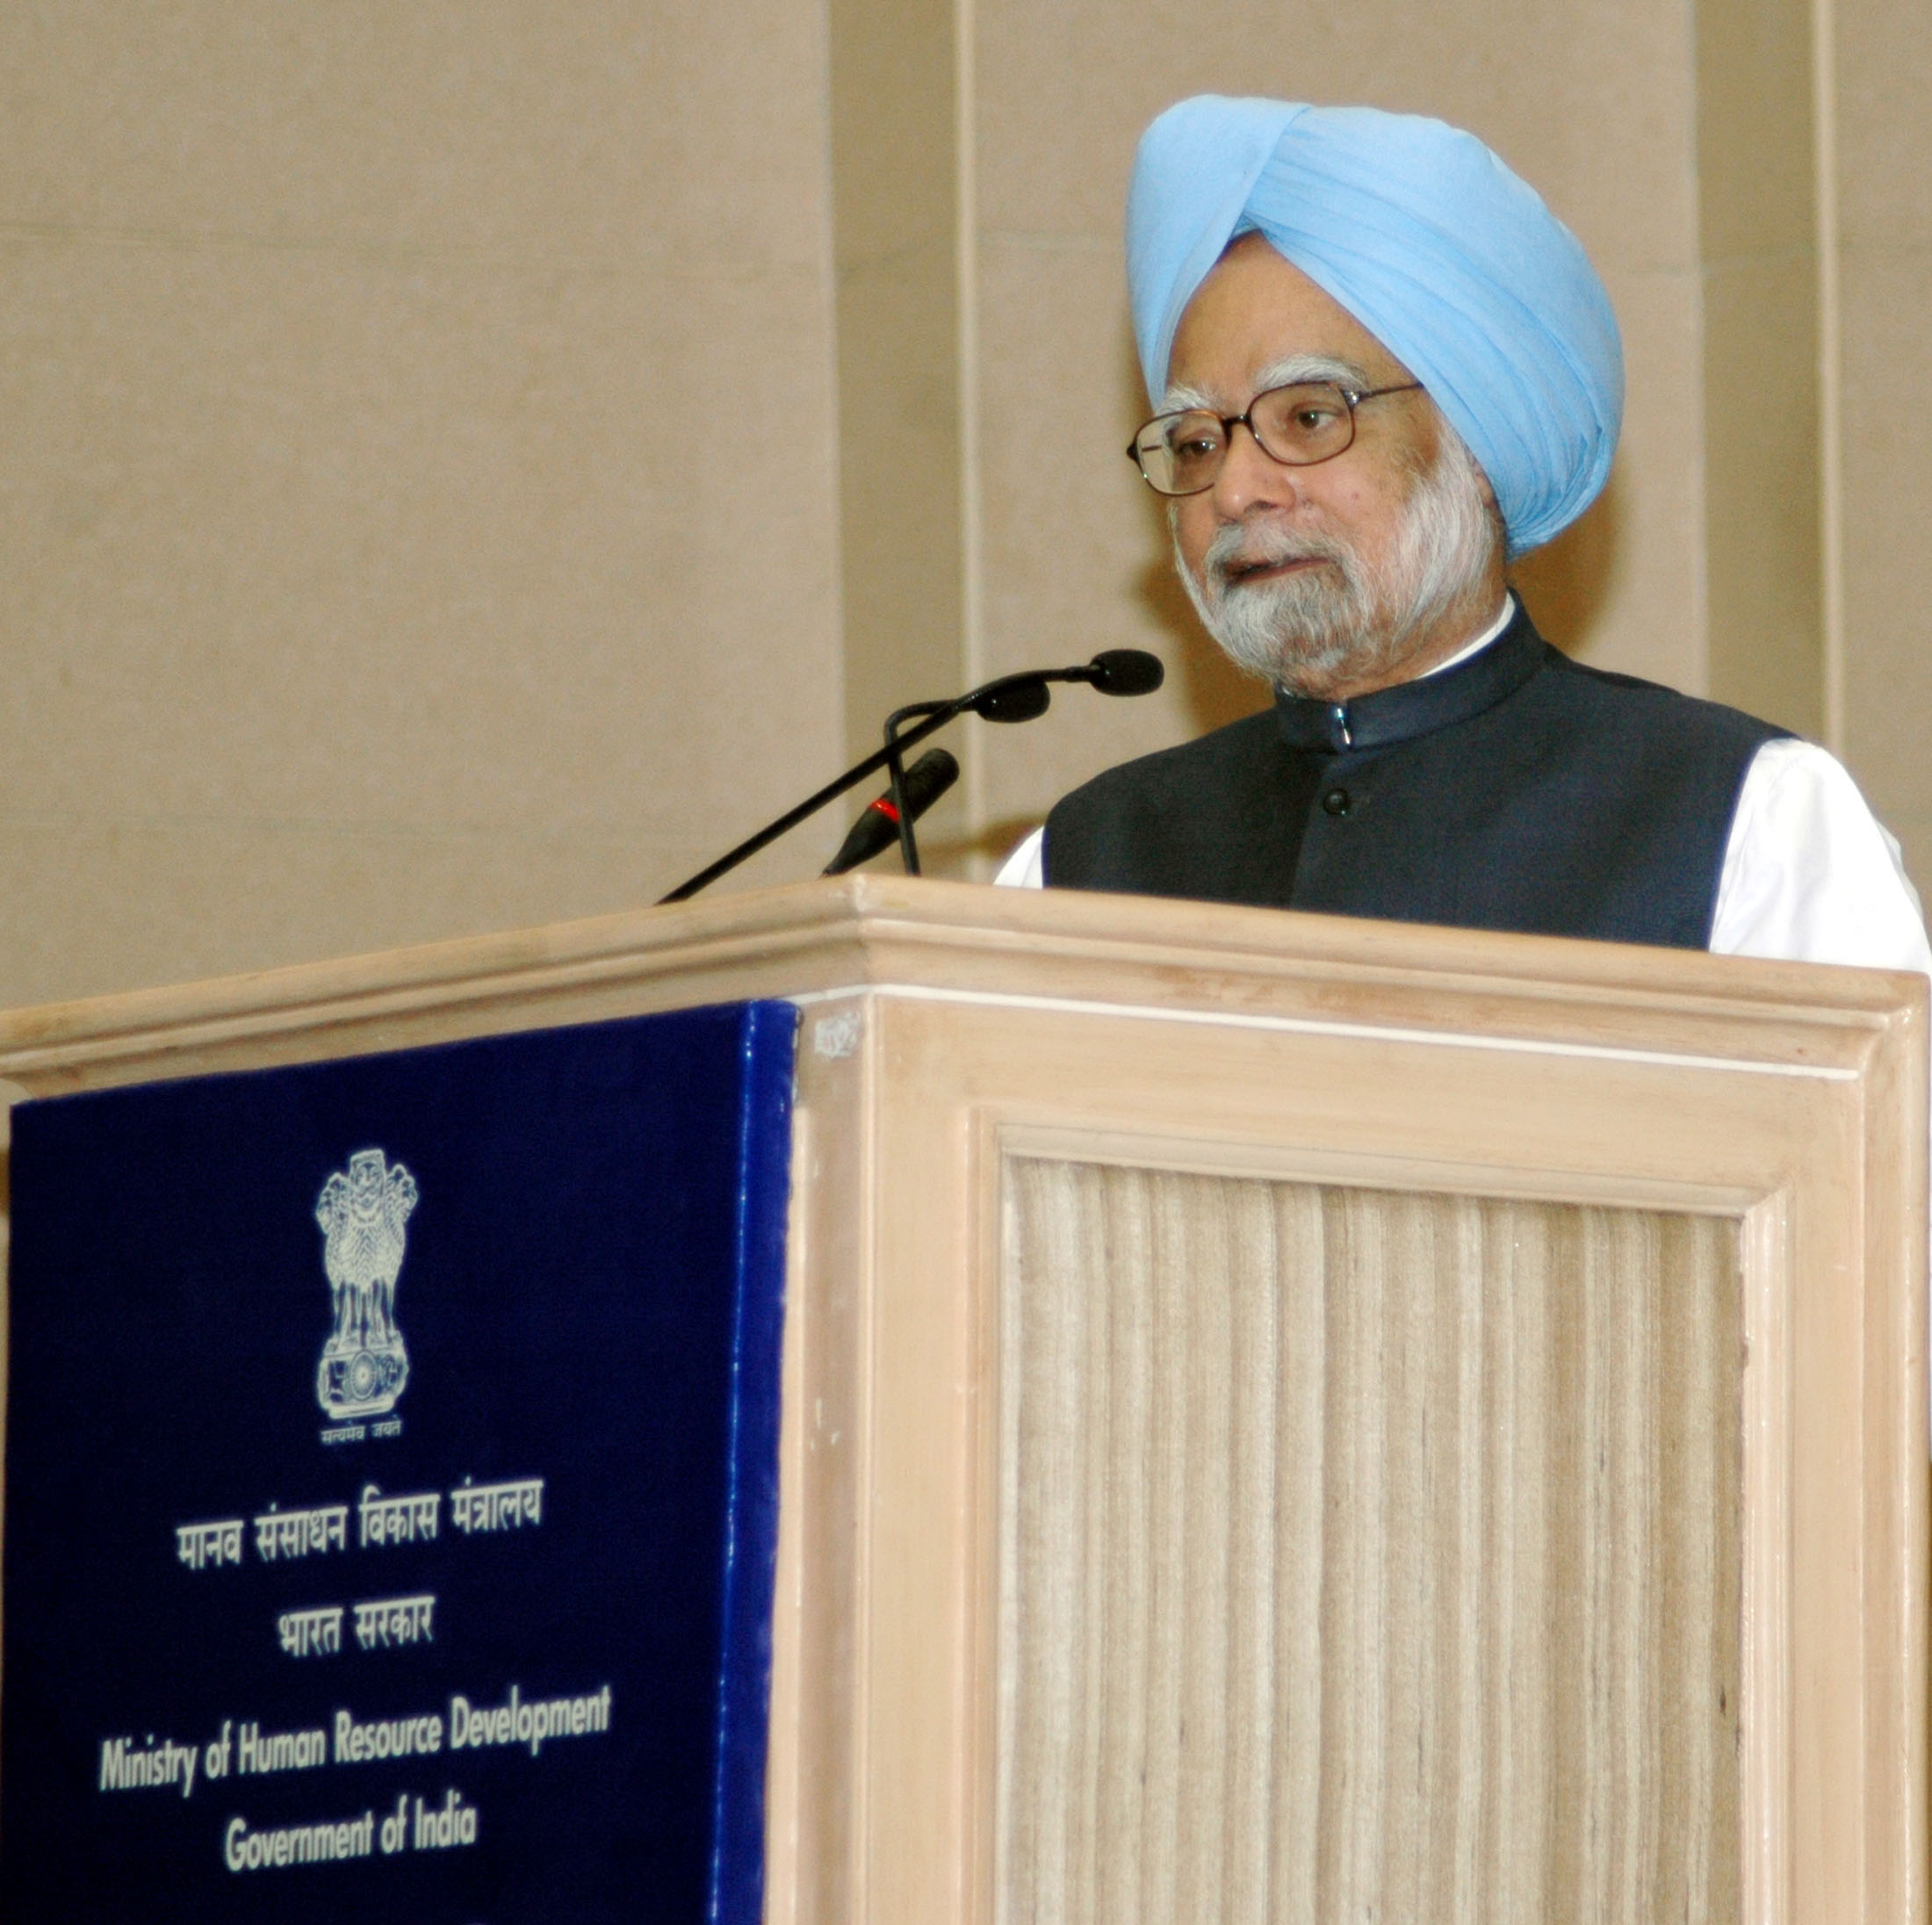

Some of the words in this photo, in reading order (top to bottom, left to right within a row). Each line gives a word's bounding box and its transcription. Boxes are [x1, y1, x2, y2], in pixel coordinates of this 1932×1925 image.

[318, 1416, 368, 1452] सत्यमेव
[368, 1410, 408, 1443] जयते
[173, 1517, 243, 1574] मानव
[251, 1496, 349, 1568] संसाधन
[354, 1481, 443, 1550] विकास
[445, 1471, 546, 1541] मंत्रालय
[273, 1604, 345, 1666] भारत
[354, 1593, 438, 1656] सरकार
[99, 1731, 199, 1799] Ministry
[205, 1715, 234, 1784] of
[234, 1713, 328, 1779] Human
[331, 1707, 443, 1766] Resource
[448, 1681, 614, 1763] Development
[219, 1809, 378, 1878] Government
[378, 1791, 412, 1861] of
[410, 1788, 482, 1857] India